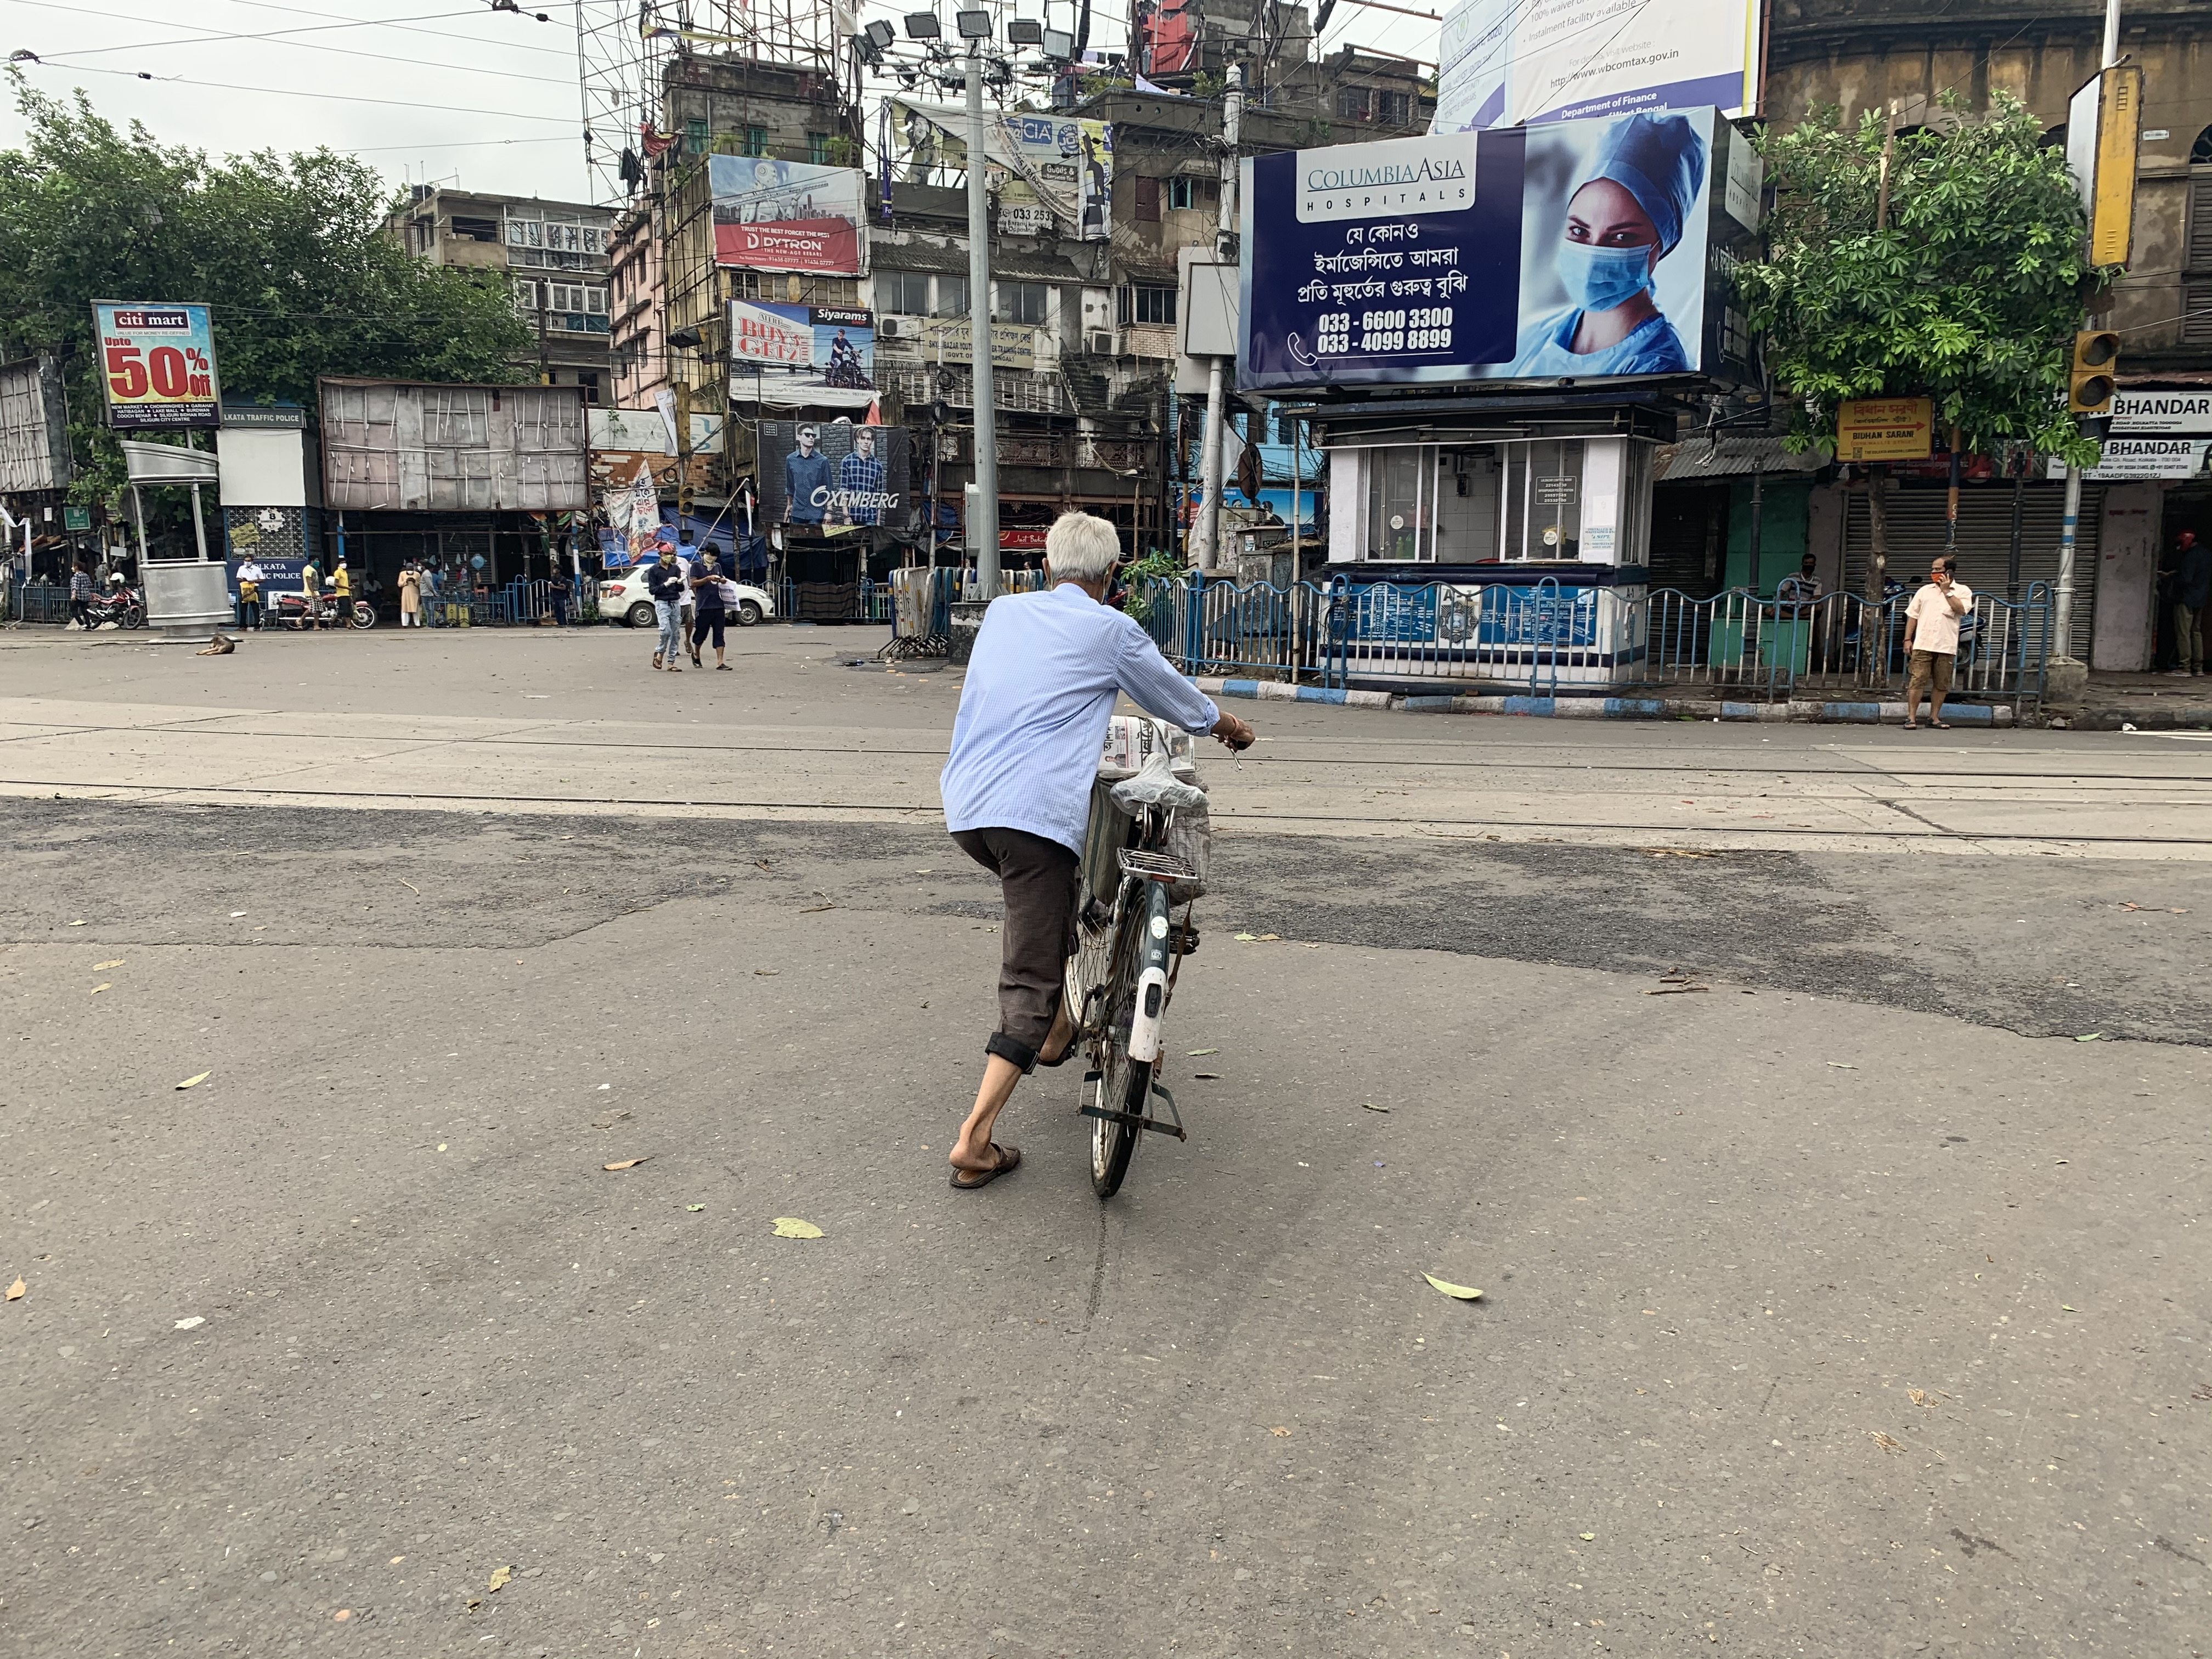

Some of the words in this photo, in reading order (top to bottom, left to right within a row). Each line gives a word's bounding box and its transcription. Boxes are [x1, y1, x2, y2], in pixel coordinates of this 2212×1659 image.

[1613, 30, 1659, 59] twebsite:
[1538, 42, 1683, 90] http://www.wbcomtax.gov.in
[1306, 160, 1417, 193] COLUMBIA
[1414, 155, 1468, 185] ASIA
[1305, 186, 1468, 213] HOSPITALS
[737, 221, 759, 236] TRUST
[757, 223, 772, 235] THE
[761, 246, 775, 255] THE
[768, 224, 787, 238] BEST
[773, 246, 789, 258] NEW
[761, 235, 824, 255] DYTRON
[782, 225, 808, 239] FORCET
[788, 249, 804, 257] AGE
[801, 249, 823, 259] REBARS
[803, 229, 832, 241] THEREST
[1310, 243, 1406, 276] ইর্মাজেন্সিতে
[1340, 219, 1421, 249] যে কোনও
[1405, 244, 1459, 270] আমরা
[1290, 273, 1331, 306] প্রতি
[1326, 275, 1389, 310] মূহুর্তের
[1387, 272, 1436, 302] গুরুত্ব
[1434, 264, 1470, 304] বুঝি
[112, 307, 146, 327] citi
[146, 311, 186, 328] mart
[815, 301, 870, 323] Siyarams
[1317, 303, 1454, 334] 033-66003300
[101, 332, 137, 349] Upto
[733, 334, 802, 366] GET2
[738, 313, 804, 355] BUY3
[997, 326, 1022, 343] প্রশিক্ষণ
[1314, 326, 1452, 356] 033-40998899
[104, 341, 215, 402] 50% Off
[220, 409, 247, 422] LKATA
[243, 410, 275, 423] TRAFFIC
[273, 414, 301, 424] POLICE
[1849, 397, 1889, 416] বিধান
[1886, 396, 1922, 417] সরণী
[2109, 393, 2211, 417] BHANDAR
[1846, 427, 1885, 441] BIDHAN
[1882, 424, 1917, 441] SARANI
[2108, 439, 2193, 457] BHANDAR
[805, 481, 902, 511] OXEMBERG